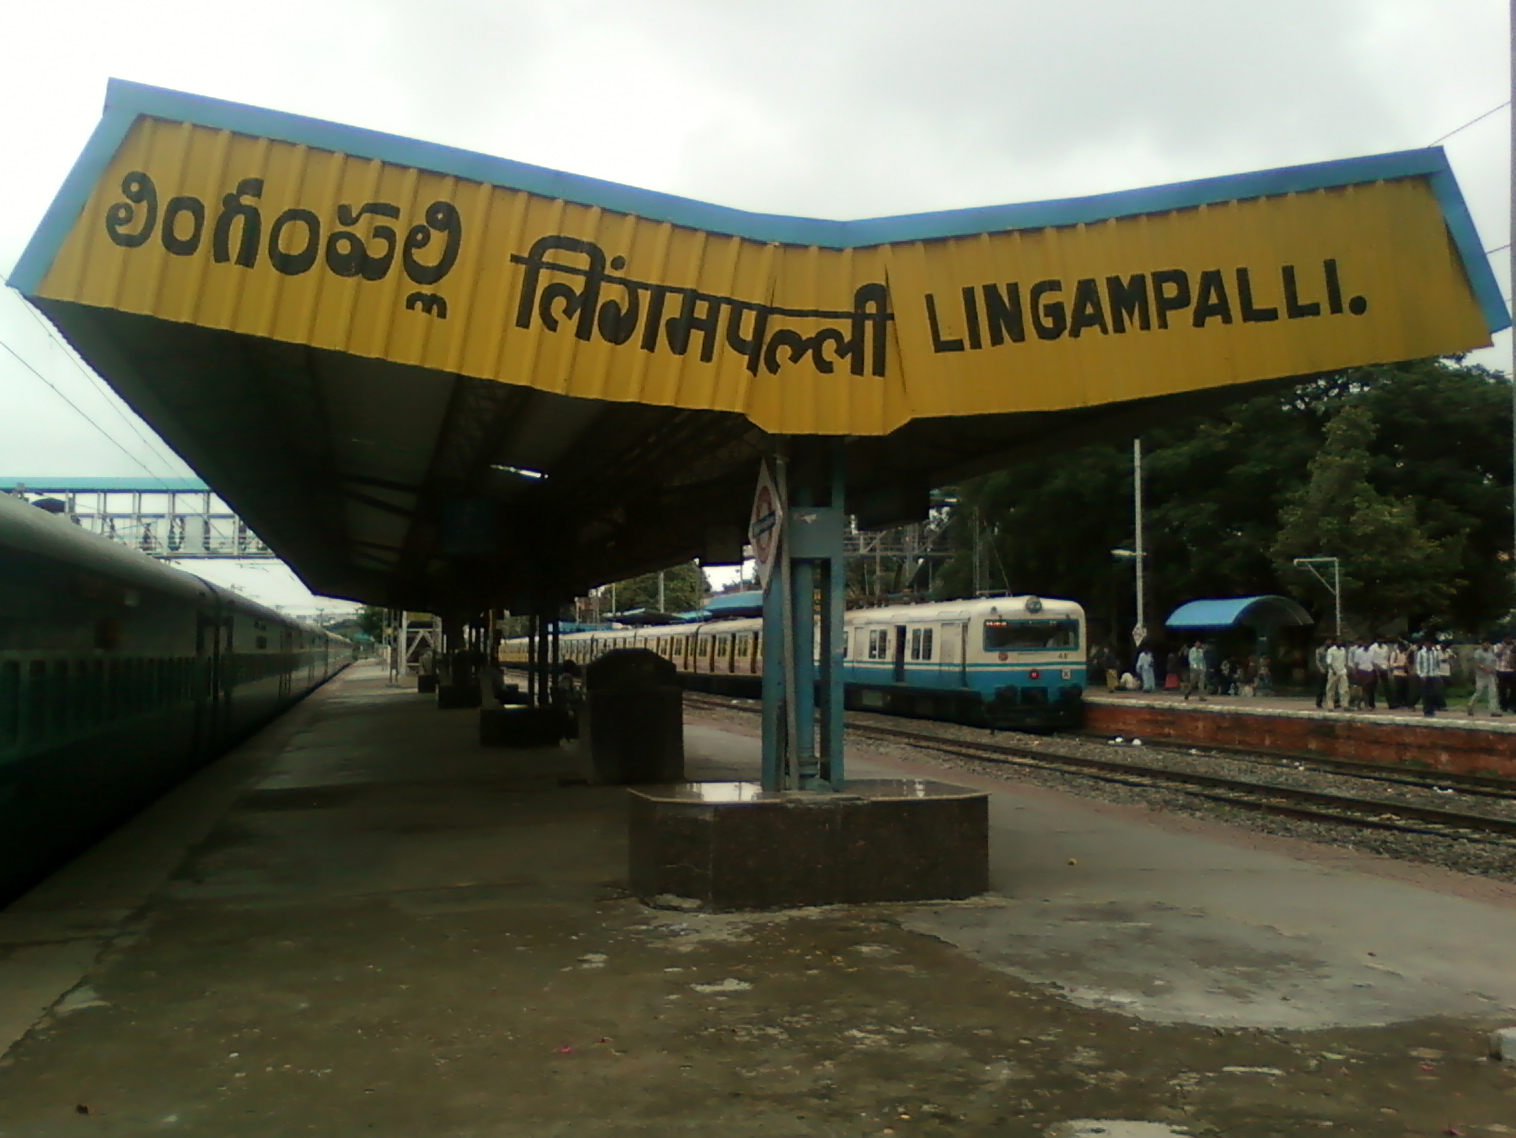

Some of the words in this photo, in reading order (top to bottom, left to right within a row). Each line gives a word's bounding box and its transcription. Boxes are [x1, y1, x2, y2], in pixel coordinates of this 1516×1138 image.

[95, 157, 474, 328] లింగంపల్లి
[503, 225, 902, 384] लिंगमपल्ली
[921, 249, 1374, 364] LINGAMPALLI.